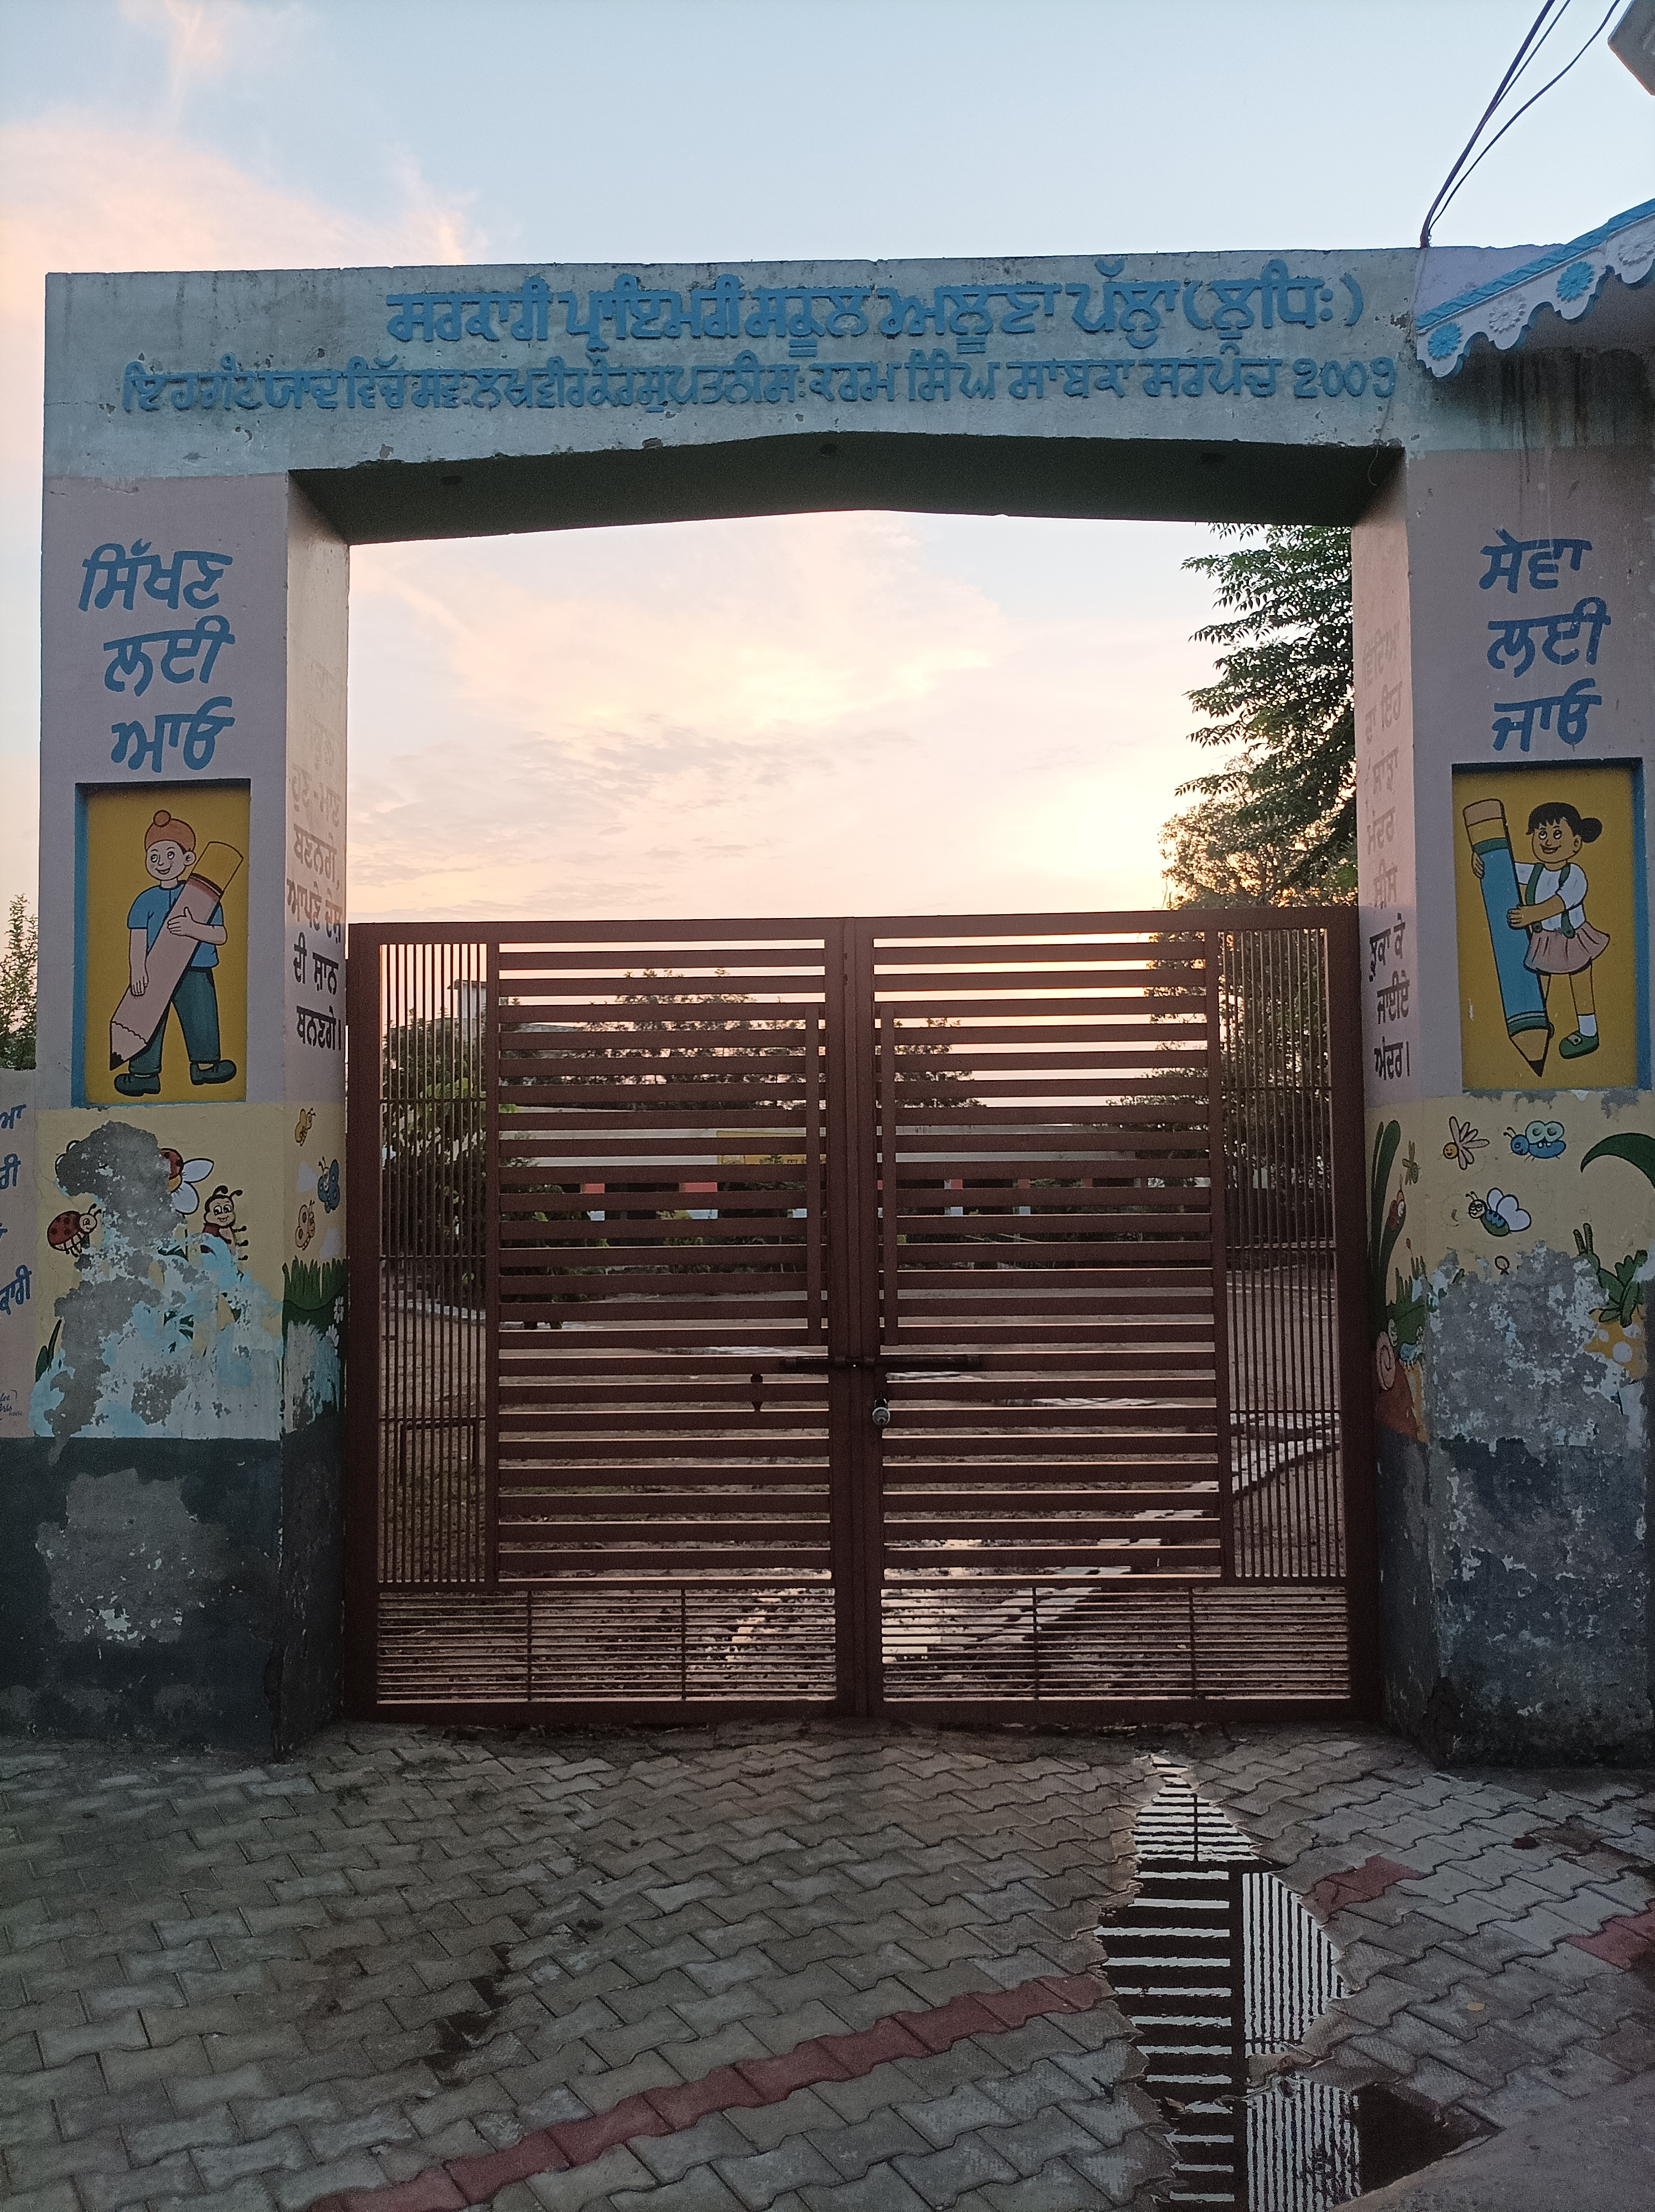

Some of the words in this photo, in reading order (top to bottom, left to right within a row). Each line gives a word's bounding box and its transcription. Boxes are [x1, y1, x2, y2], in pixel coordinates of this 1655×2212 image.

[377, 271, 556, 351] ਸਰਕਾਰੀ
[553, 265, 749, 354] ਪ੍ਰਾਇਮਰੀ
[741, 270, 874, 361] ਸਕੂਲ
[873, 275, 1063, 357] ਅਲੂਣਾ
[1062, 257, 1186, 353] ਪੱਲੁਾ
[1206, 252, 1346, 356] ਲੁਧਿ:
[101, 347, 345, 427] ਇਰਗੇਟਯਾਦ
[342, 346, 473, 419] ਵਿੱਚ ਸਵ:
[465, 345, 808, 420] ਲਖਵੀਰਕੇਰਸੁਪਤਨੀਸਃ
[807, 359, 903, 414] ਦਰਮ
[903, 342, 1003, 410] ਸਿੰਘ
[1002, 355, 1138, 407] ਸਾਬਕਾ
[1134, 354, 1288, 410] ਸਰਪਚ
[1285, 348, 1406, 407] 2009
[53, 520, 246, 624] ਸਿੱਖਣ
[1471, 515, 1610, 597] ਸੇਵਾ
[82, 603, 247, 709] ਲਈ
[1472, 591, 1625, 685] ਲਈ
[92, 686, 244, 778] ਆਓਂ
[1471, 674, 1620, 764] ਜਾਓ
[282, 929, 313, 991] ਦੀ
[284, 874, 326, 935] ਆਪਣੇ
[288, 821, 341, 886] ਬਣਨਗੇ
[289, 997, 351, 1057] ਬਨਣਗੇ |
[310, 943, 347, 999] ਸ਼ਾਨ
[322, 885, 347, 946] ਦੇਸ਼
[1361, 922, 1391, 986] ਝਕਾ
[1360, 802, 1406, 860] ਮਂਦਰ
[1362, 853, 1405, 917] ਸੀਸ
[1366, 1029, 1411, 1086] ਅਂਦਰ
[1369, 966, 1419, 1029] ਜਾਈਏ
[1390, 907, 1413, 966] ਕੇ
[0, 1092, 32, 1138] ਮਾ
[0, 1148, 25, 1199] ਰੀ
[0, 1253, 40, 1322] ਕਾਰੀ